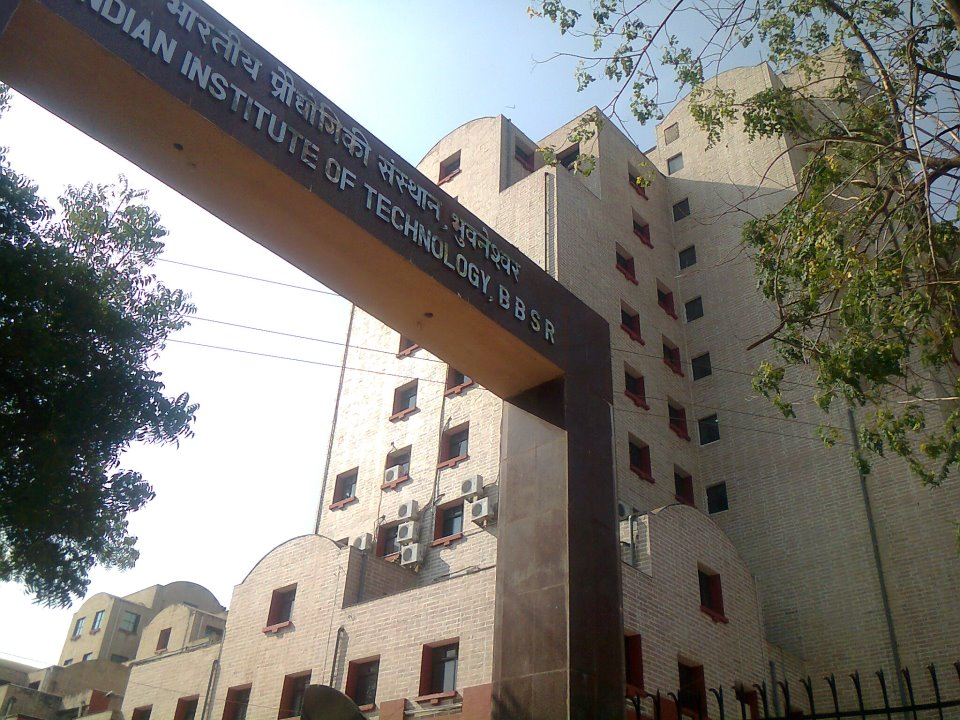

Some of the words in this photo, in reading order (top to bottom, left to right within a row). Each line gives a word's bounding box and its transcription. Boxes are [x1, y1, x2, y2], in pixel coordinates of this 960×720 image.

[163, 1, 269, 88] भारतीय
[177, 47, 324, 175] INSTITUTE
[265, 59, 377, 175] प्रौद्योगिकी
[318, 154, 362, 197] OF
[374, 154, 449, 227] संस्थान
[359, 178, 497, 297] TECHNOLOGY
[446, 209, 525, 287] भुवनेश्वर
[493, 283, 563, 349] BBSR